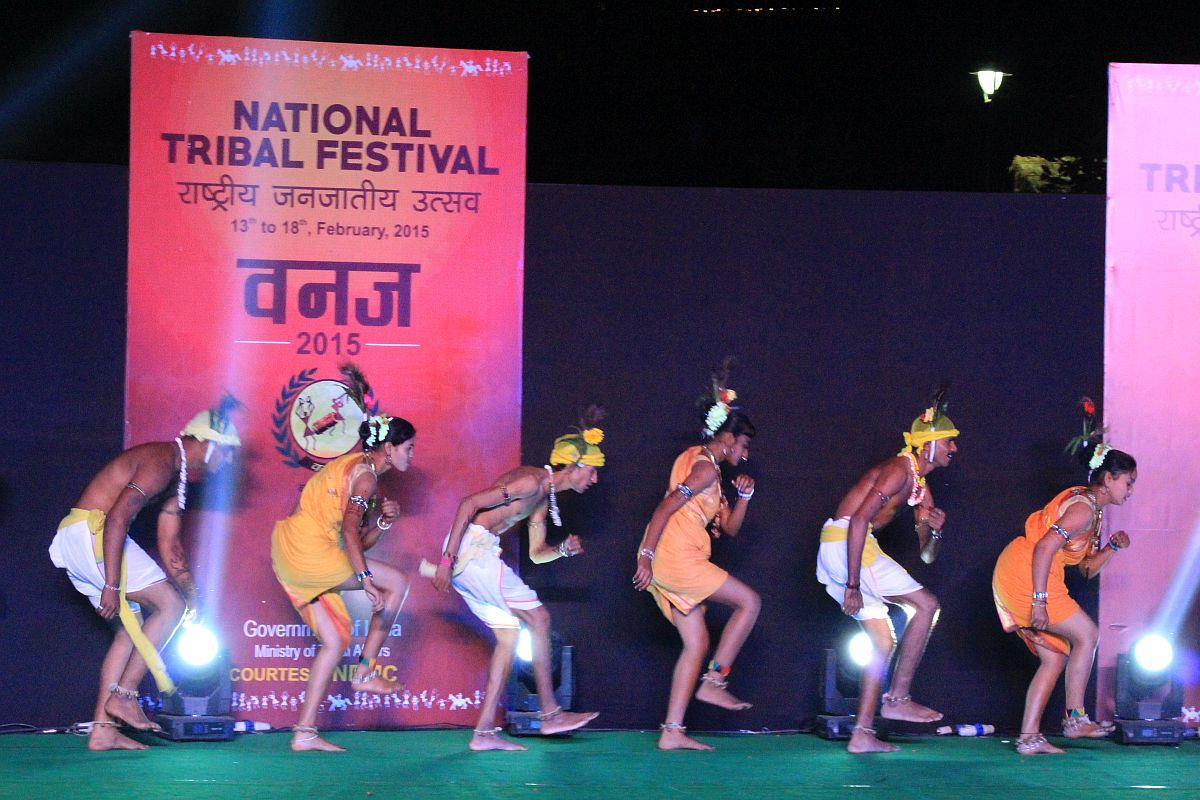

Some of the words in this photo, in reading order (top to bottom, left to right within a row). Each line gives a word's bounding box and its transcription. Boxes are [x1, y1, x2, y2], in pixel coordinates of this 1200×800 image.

[227, 93, 441, 141] NATIONAL
[159, 126, 307, 171] TRIBAL
[311, 131, 505, 181] इंडा।१४।।
[174, 165, 263, 217] राष्ट्रीय
[269, 174, 401, 215] जनजातीय
[407, 186, 483, 217] उत्सव
[1132, 155, 1198, 197] TR
[227, 209, 262, 235] 13 ''
[256, 215, 280, 239] to
[278, 214, 313, 239] 18th
[313, 213, 391, 243] February.
[390, 219, 433, 239] 2015
[235, 251, 426, 333] वनज
[295, 325, 364, 361] 2015
[237, 611, 322, 641] Govenm
[250, 638, 305, 663] Ministry
[296, 641, 322, 665] of
[223, 663, 312, 688] COURTES
[329, 661, 403, 689] NDMC